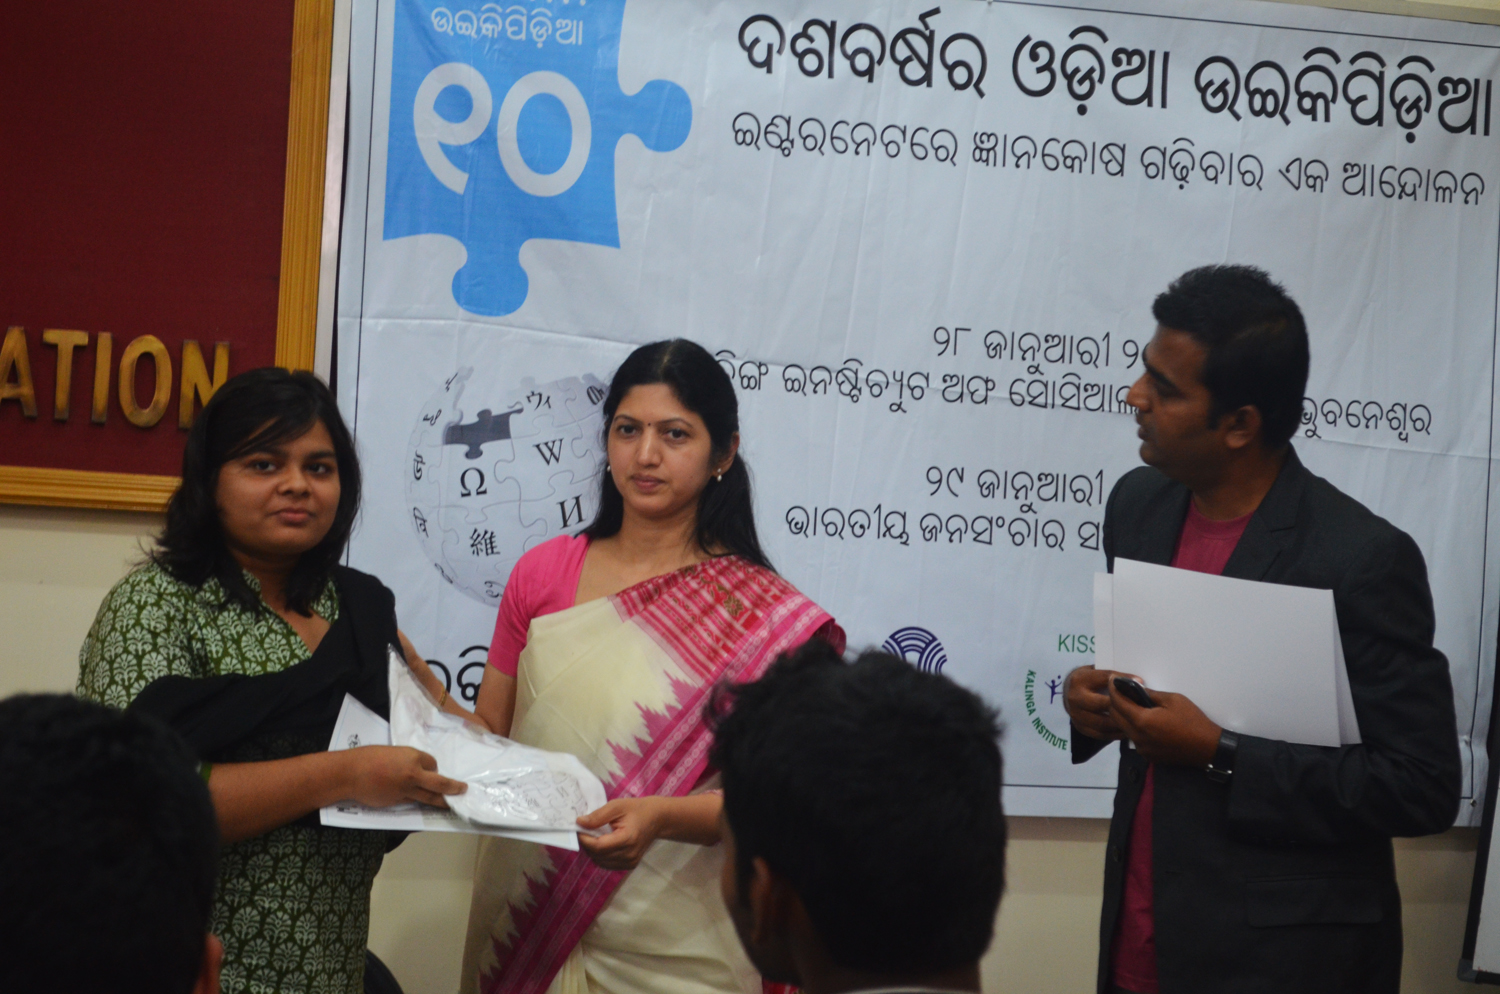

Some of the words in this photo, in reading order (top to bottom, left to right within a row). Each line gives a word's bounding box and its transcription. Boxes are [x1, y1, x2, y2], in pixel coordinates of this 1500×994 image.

[429, 3, 585, 50] ଉଇକିପିଡ଼ିଆ
[736, 1, 997, 103] ଦଶବର୍ଷର
[1006, 18, 1173, 122] ଓଡ଼ିଆ
[1189, 37, 1496, 149] ଉଇକିପିଡ଼ିଆ
[400, 49, 600, 208] ୧୦
[731, 109, 961, 173] ଇଣ୍ଟରନେଟରେ
[967, 126, 1129, 183] ଜ୍ଞାନକୋଷ
[1138, 126, 1271, 194] ଗଢ଼ିବାର
[1278, 150, 1334, 197] ଏକ
[1338, 155, 1489, 210] ଆନ୍ଦୋଳନ
[4, 317, 229, 442] ATION
[706, 333, 775, 397] ଢିଙ୍ଗ
[777, 353, 934, 420] ଇନଷ୍ଟିଚ୍ୟୁଟ
[925, 321, 972, 362] ୨୮
[938, 366, 999, 409] ଅଫ
[981, 326, 1116, 379] ଜାନୁଆରୀ
[1004, 366, 1142, 419] ସୋସିଆଳ
[1295, 389, 1436, 447] ଭୁବନେଶ୍ବର
[452, 460, 493, 503] Ω
[526, 434, 568, 476] W
[921, 459, 967, 501] ୨୯
[971, 463, 1108, 522] ଜାନୁଆରୀ
[782, 497, 913, 549] ଭାରତୀୟ
[918, 509, 1072, 555] ଜନସଂଚାର
[1071, 516, 1108, 559] ସ
[1053, 628, 1100, 655] KISS
[1020, 667, 1042, 722] KALINGA
[1025, 711, 1072, 753] INSTITUTE